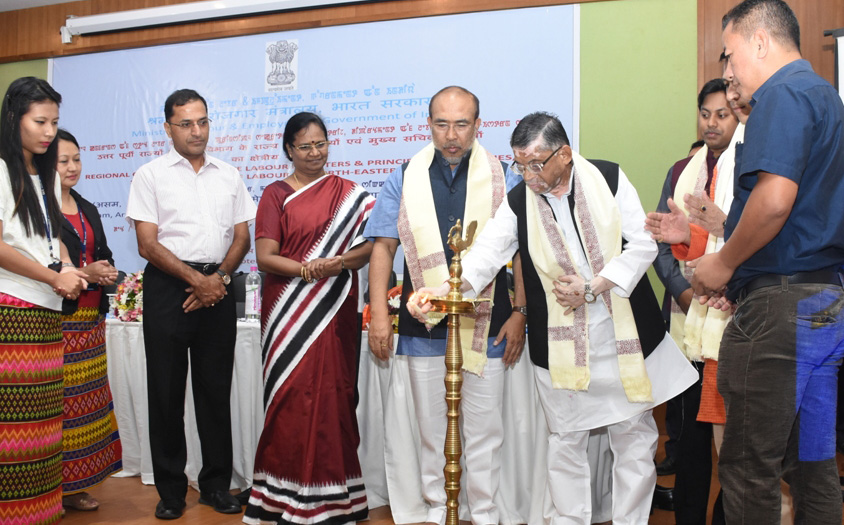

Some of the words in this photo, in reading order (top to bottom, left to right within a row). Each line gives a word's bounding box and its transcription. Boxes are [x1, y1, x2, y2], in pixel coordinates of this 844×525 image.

[263, 99, 324, 119] मंत्रालय
[325, 96, 374, 116] भारत
[377, 92, 432, 113] सरकार
[395, 116, 420, 139] ꯑ ꯪꯐ
[114, 136, 132, 155] ꯑꯣꯐ
[340, 131, 368, 150] एवं
[365, 126, 400, 151] मुख्य
[81, 164, 133, 185] REGIONAL
[225, 153, 248, 167] का
[237, 159, 290, 177] LABOUR
[246, 146, 283, 167] क्षेत्रीय
[240, 167, 293, 185] LABOUR
[347, 154, 369, 170] &
[363, 152, 412, 170] PRINC
[91, 195, 122, 214] असम,